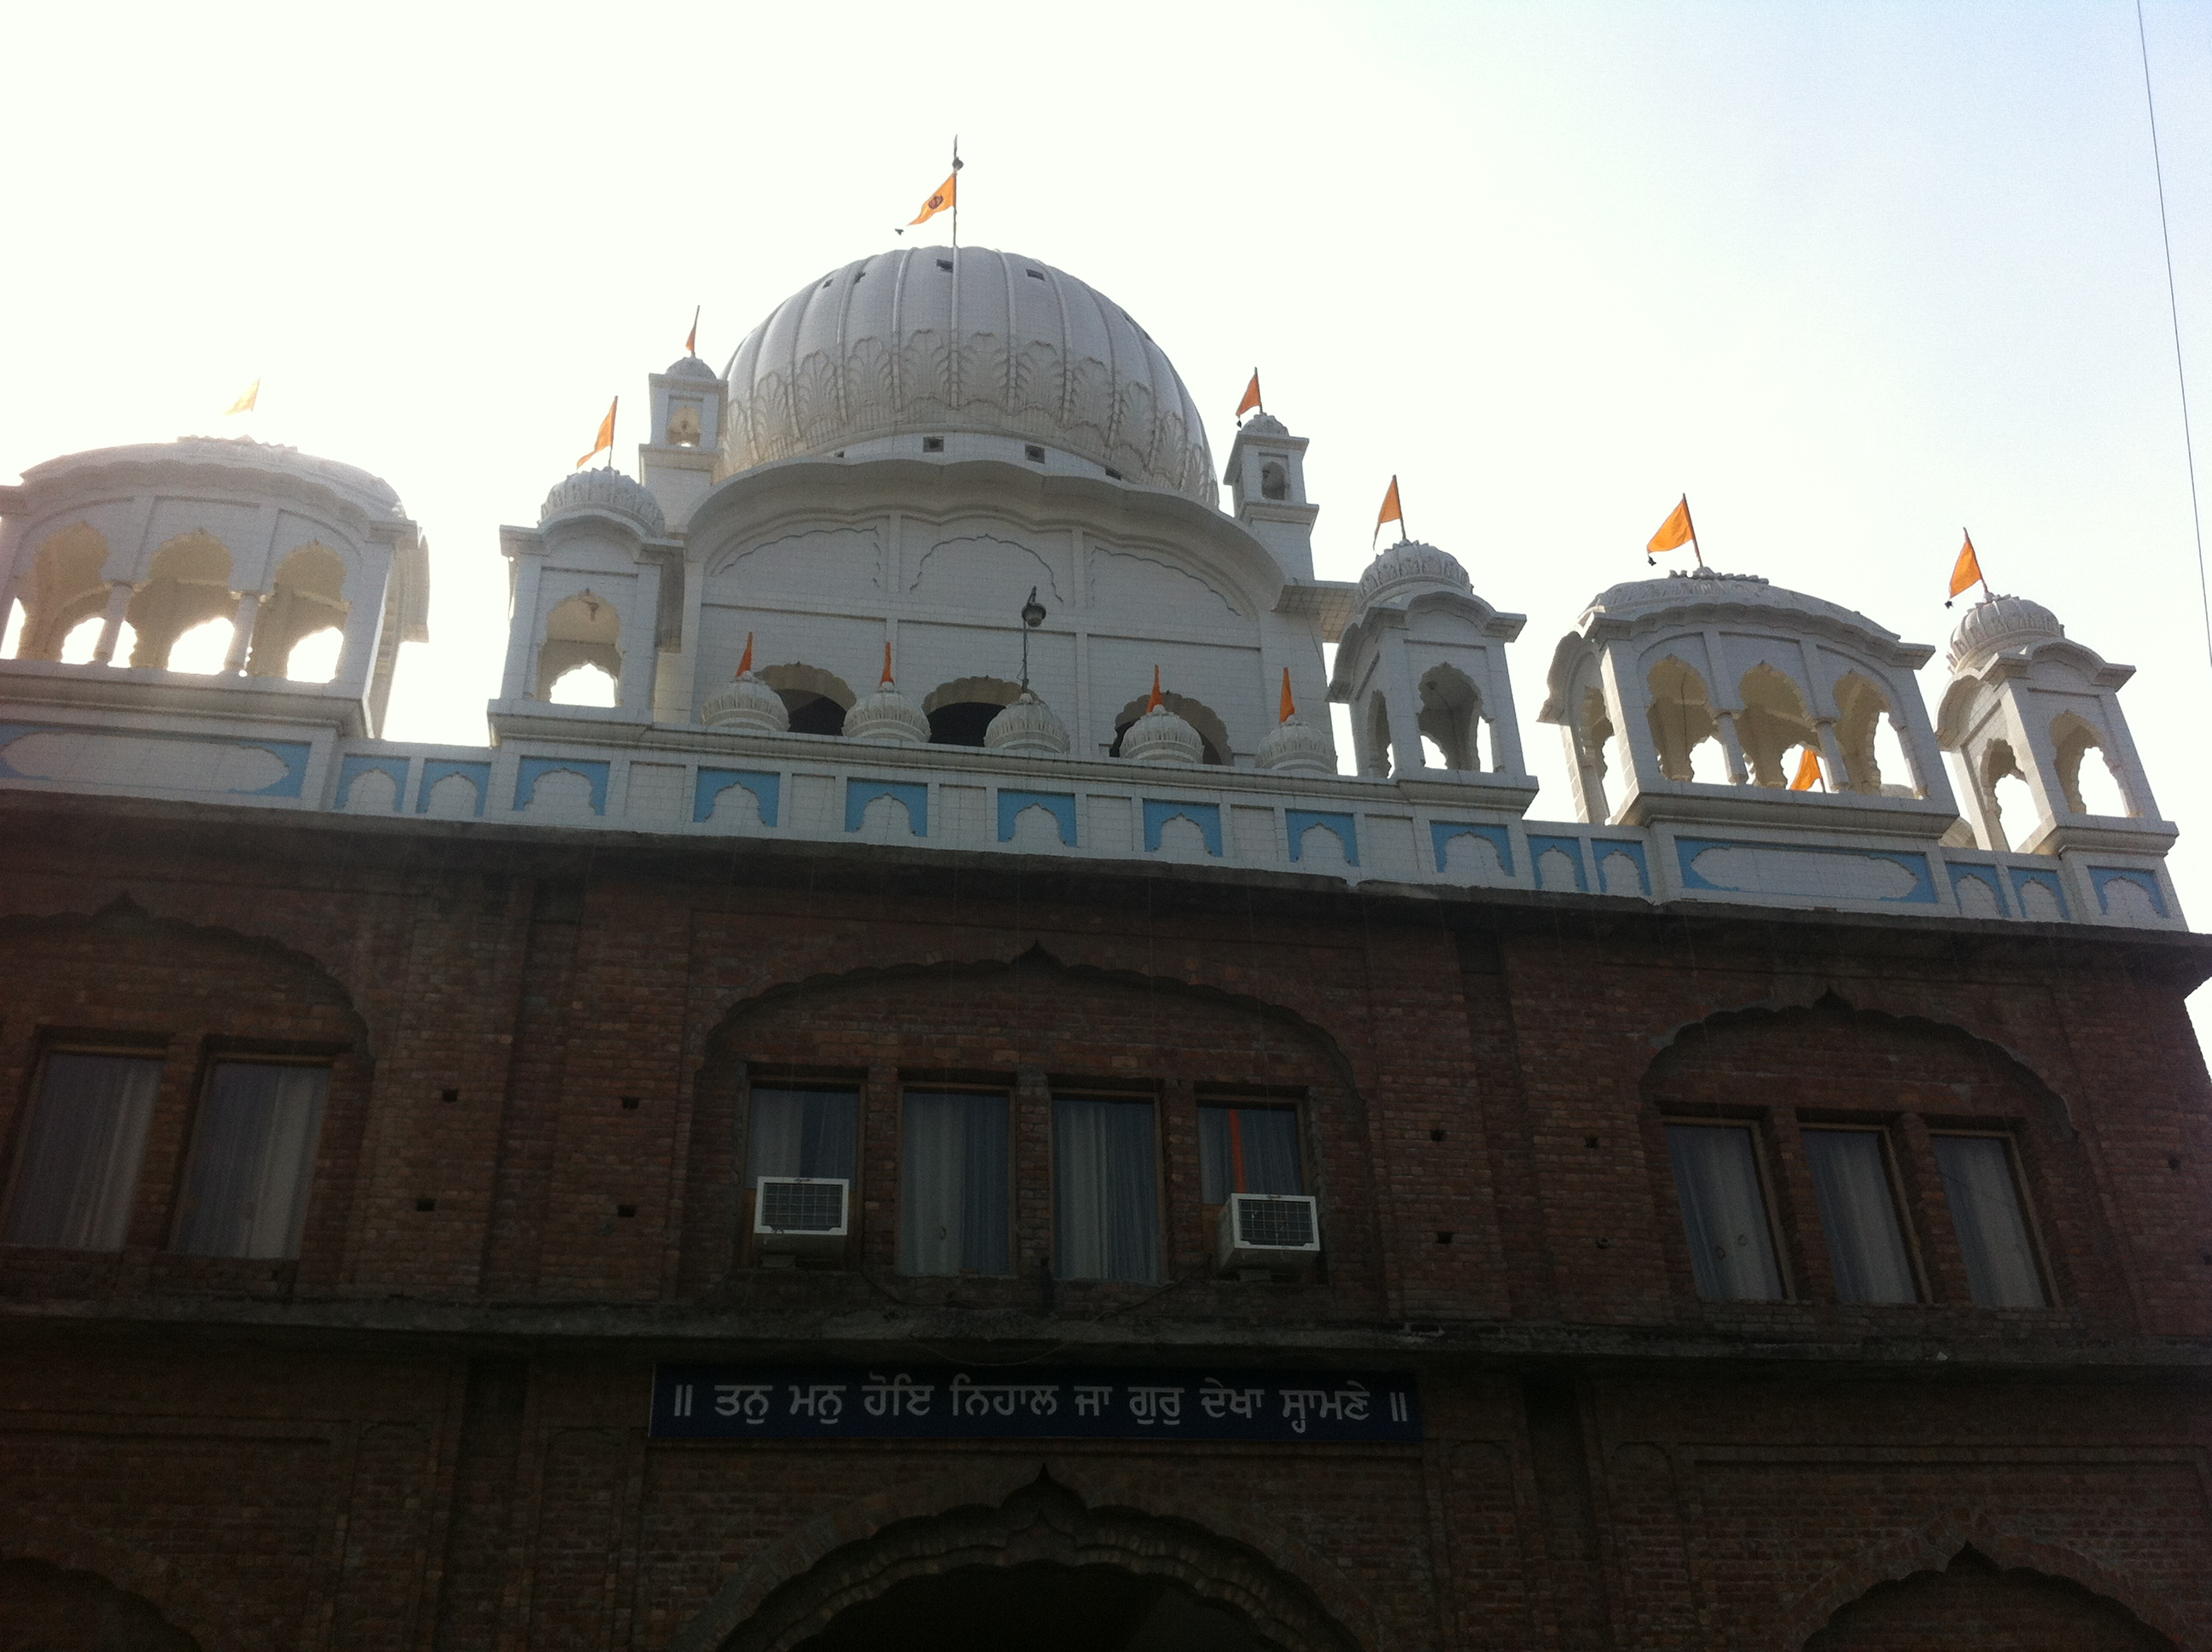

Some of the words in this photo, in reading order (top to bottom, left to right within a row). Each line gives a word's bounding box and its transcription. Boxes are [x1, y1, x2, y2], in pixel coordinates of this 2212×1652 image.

[703, 1378, 778, 1433] ਤਨੁ
[778, 1380, 858, 1430] ਮਨੁ
[852, 1366, 937, 1425] ਹੋਇ
[944, 1367, 1064, 1431] ਨਿਹਾਲ
[1065, 1376, 1118, 1426] ਜਾ
[1121, 1376, 1190, 1433] ਗੁਰੁ
[1192, 1372, 1269, 1433] ਦੇਖਾ
[1272, 1372, 1381, 1438] ਸ੍ਹਾਮਣੇ